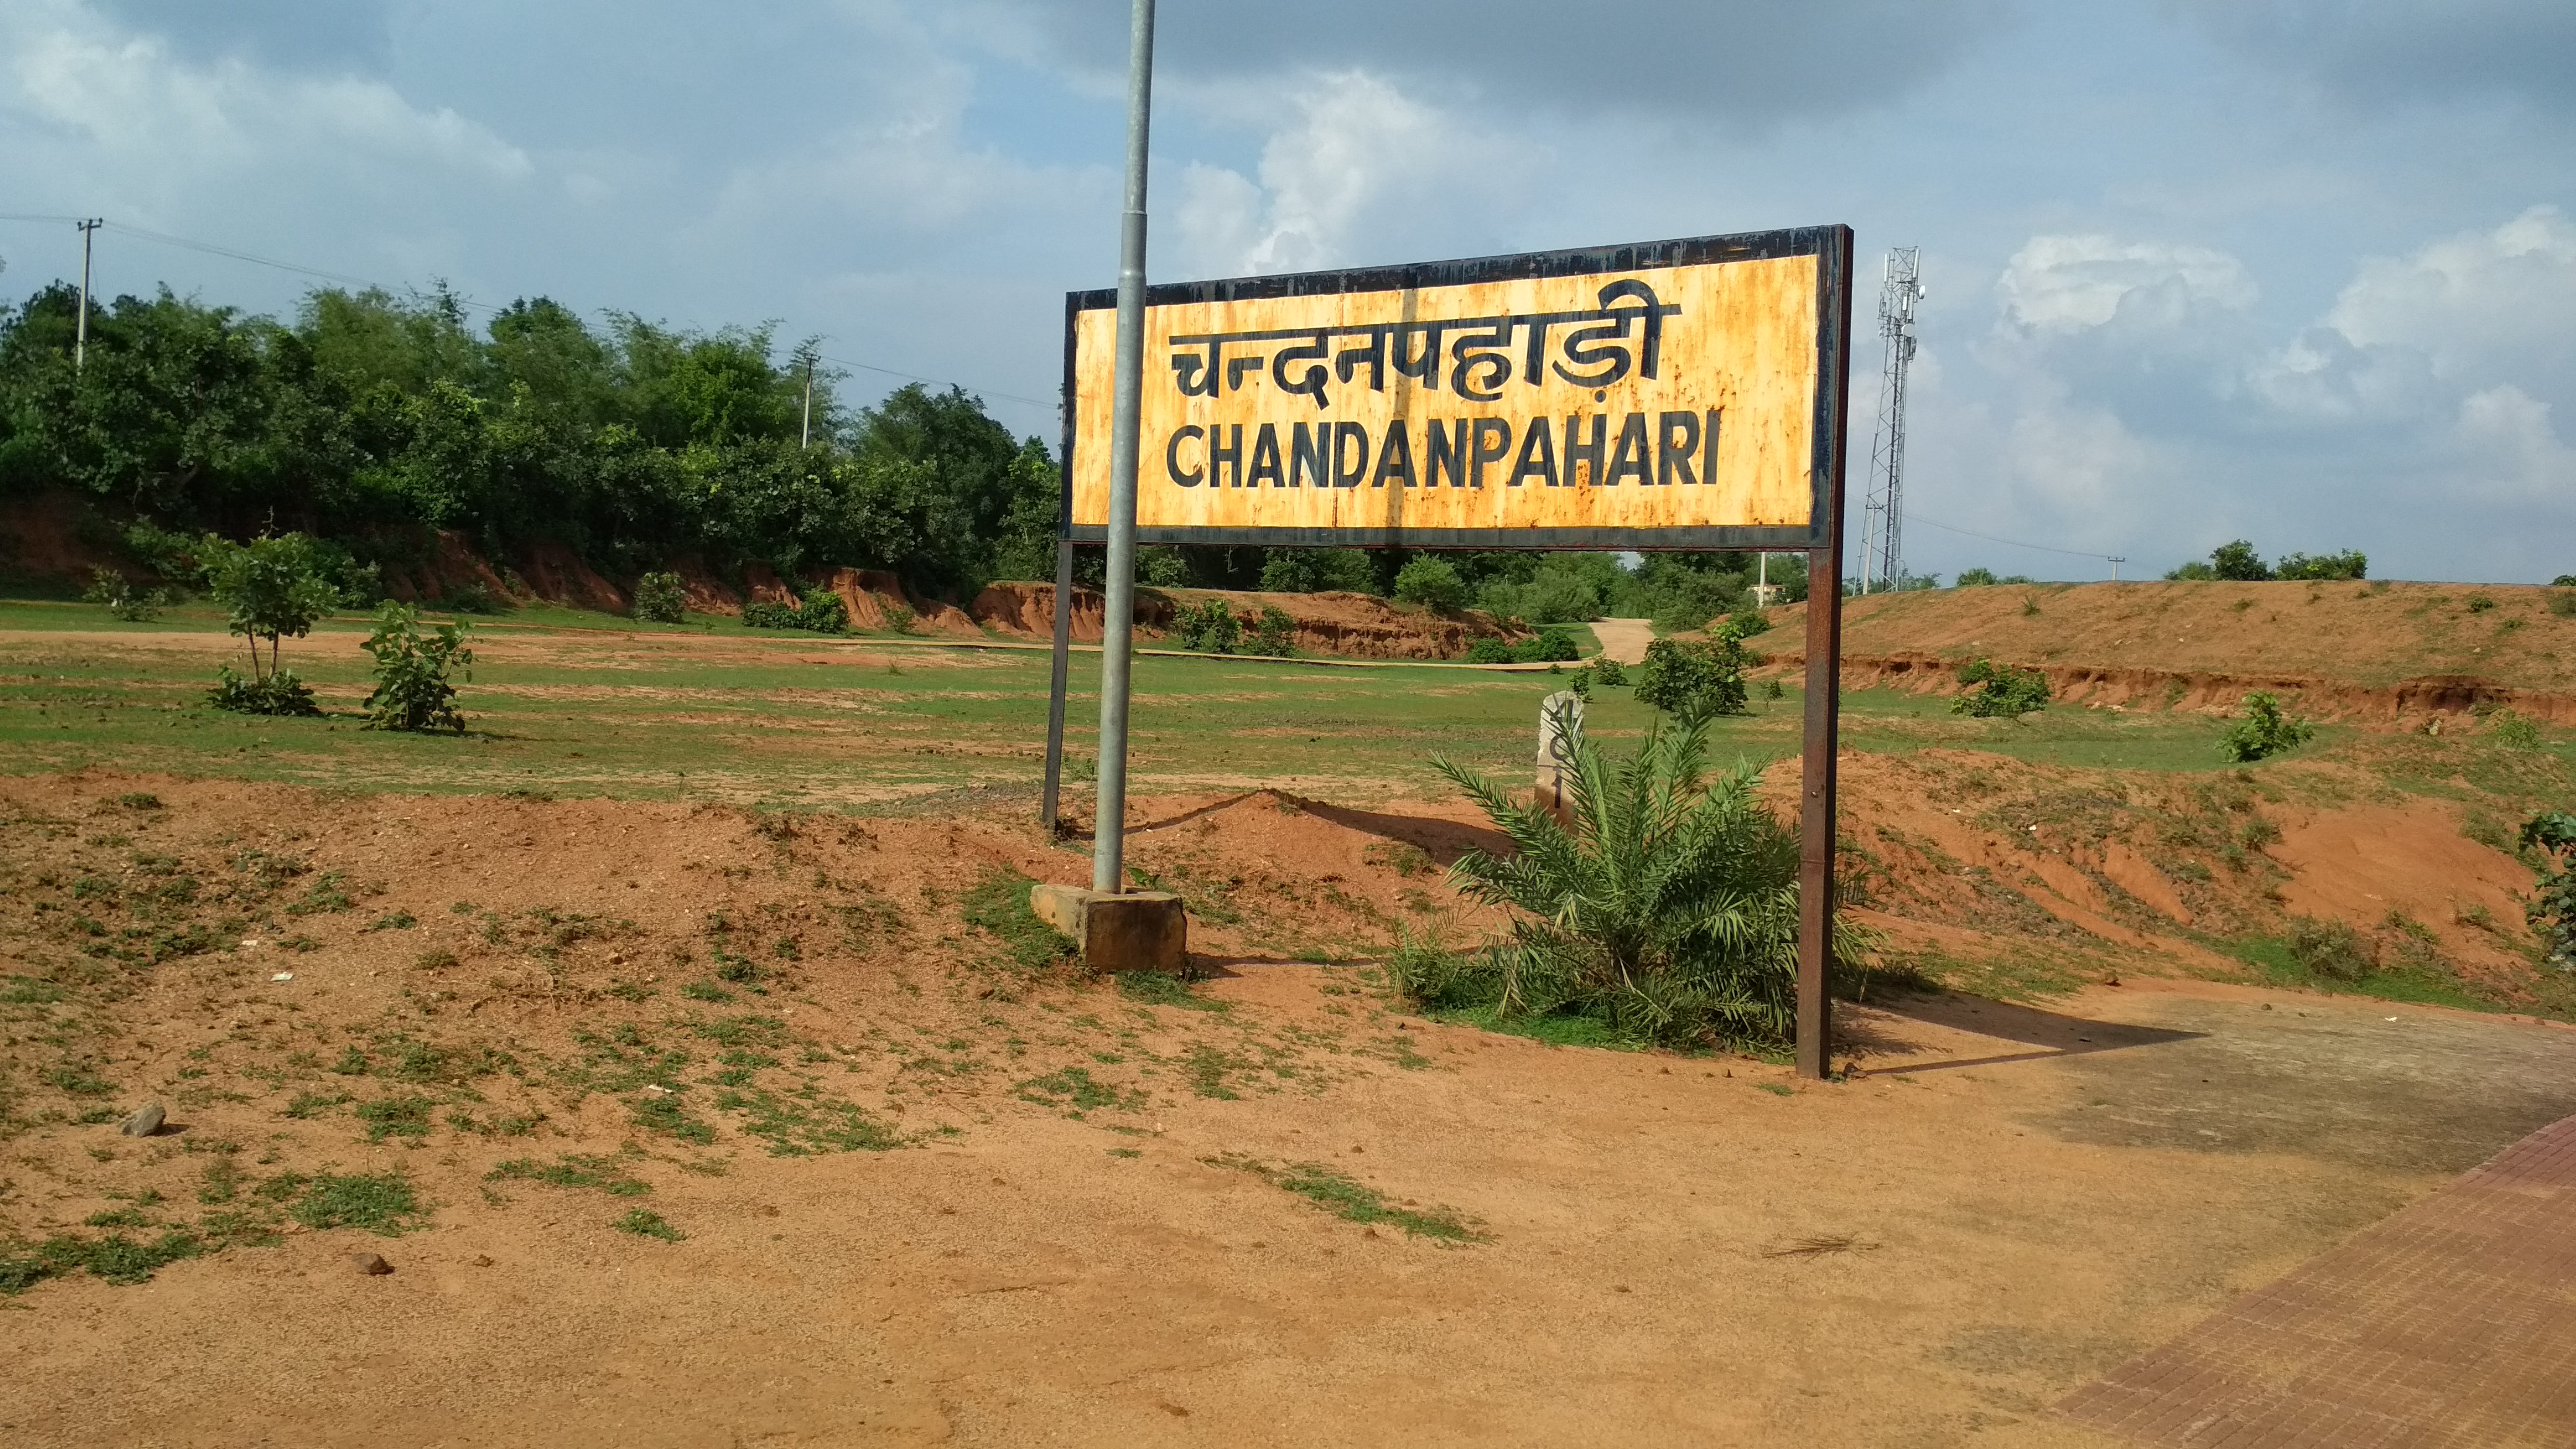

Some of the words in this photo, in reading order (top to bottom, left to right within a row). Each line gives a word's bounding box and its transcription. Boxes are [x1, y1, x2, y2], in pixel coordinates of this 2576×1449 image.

[1169, 276, 1682, 414] चन्दनपहाड़ी
[1163, 409, 1721, 494] CHANDANPAHARI